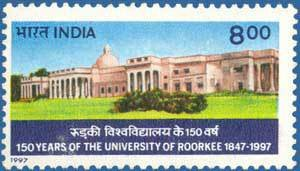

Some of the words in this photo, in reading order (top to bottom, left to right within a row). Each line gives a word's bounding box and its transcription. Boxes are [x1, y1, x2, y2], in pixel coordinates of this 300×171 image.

[12, 22, 53, 42] भारत
[45, 21, 97, 45] INDIA
[228, 21, 273, 46] 800
[67, 119, 104, 141] रुंड़की
[100, 121, 174, 139] विश्वविद्यालय
[166, 120, 187, 139] के
[183, 121, 223, 139] 150 वर्ष
[14, 139, 69, 157] 150YEARS
[65, 139, 87, 155] OF
[79, 139, 105, 155] THE
[99, 137, 164, 155] UNIVERSITY
[158, 138, 179, 155] OF
[177, 139, 225, 159] ROORKEE
[221, 139, 277, 157] 1847-1997